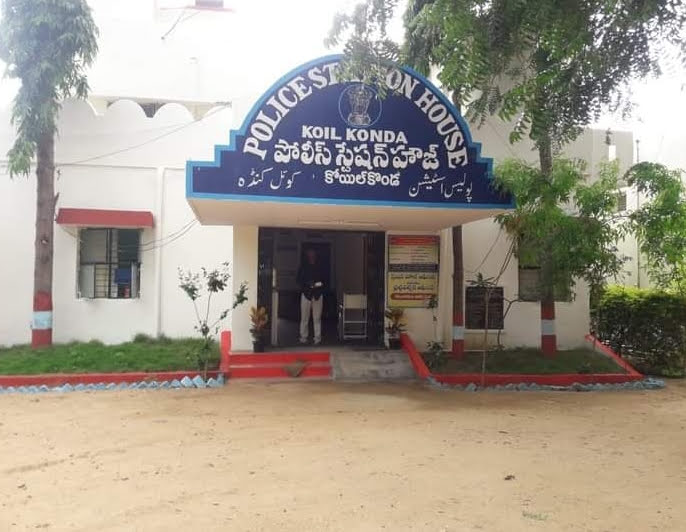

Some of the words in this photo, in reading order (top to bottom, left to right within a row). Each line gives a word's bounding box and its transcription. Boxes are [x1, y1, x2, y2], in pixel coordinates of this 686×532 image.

[303, 52, 422, 103] STATION
[237, 69, 317, 163] POLICE
[267, 131, 339, 169] పోలీస్
[297, 117, 347, 143] KOIL
[319, 164, 403, 190] కోయిల్ కొండ
[343, 123, 413, 147] KONDA
[327, 135, 443, 177] స్టేషన్ హౌజ్
[409, 84, 472, 175] HOUSE